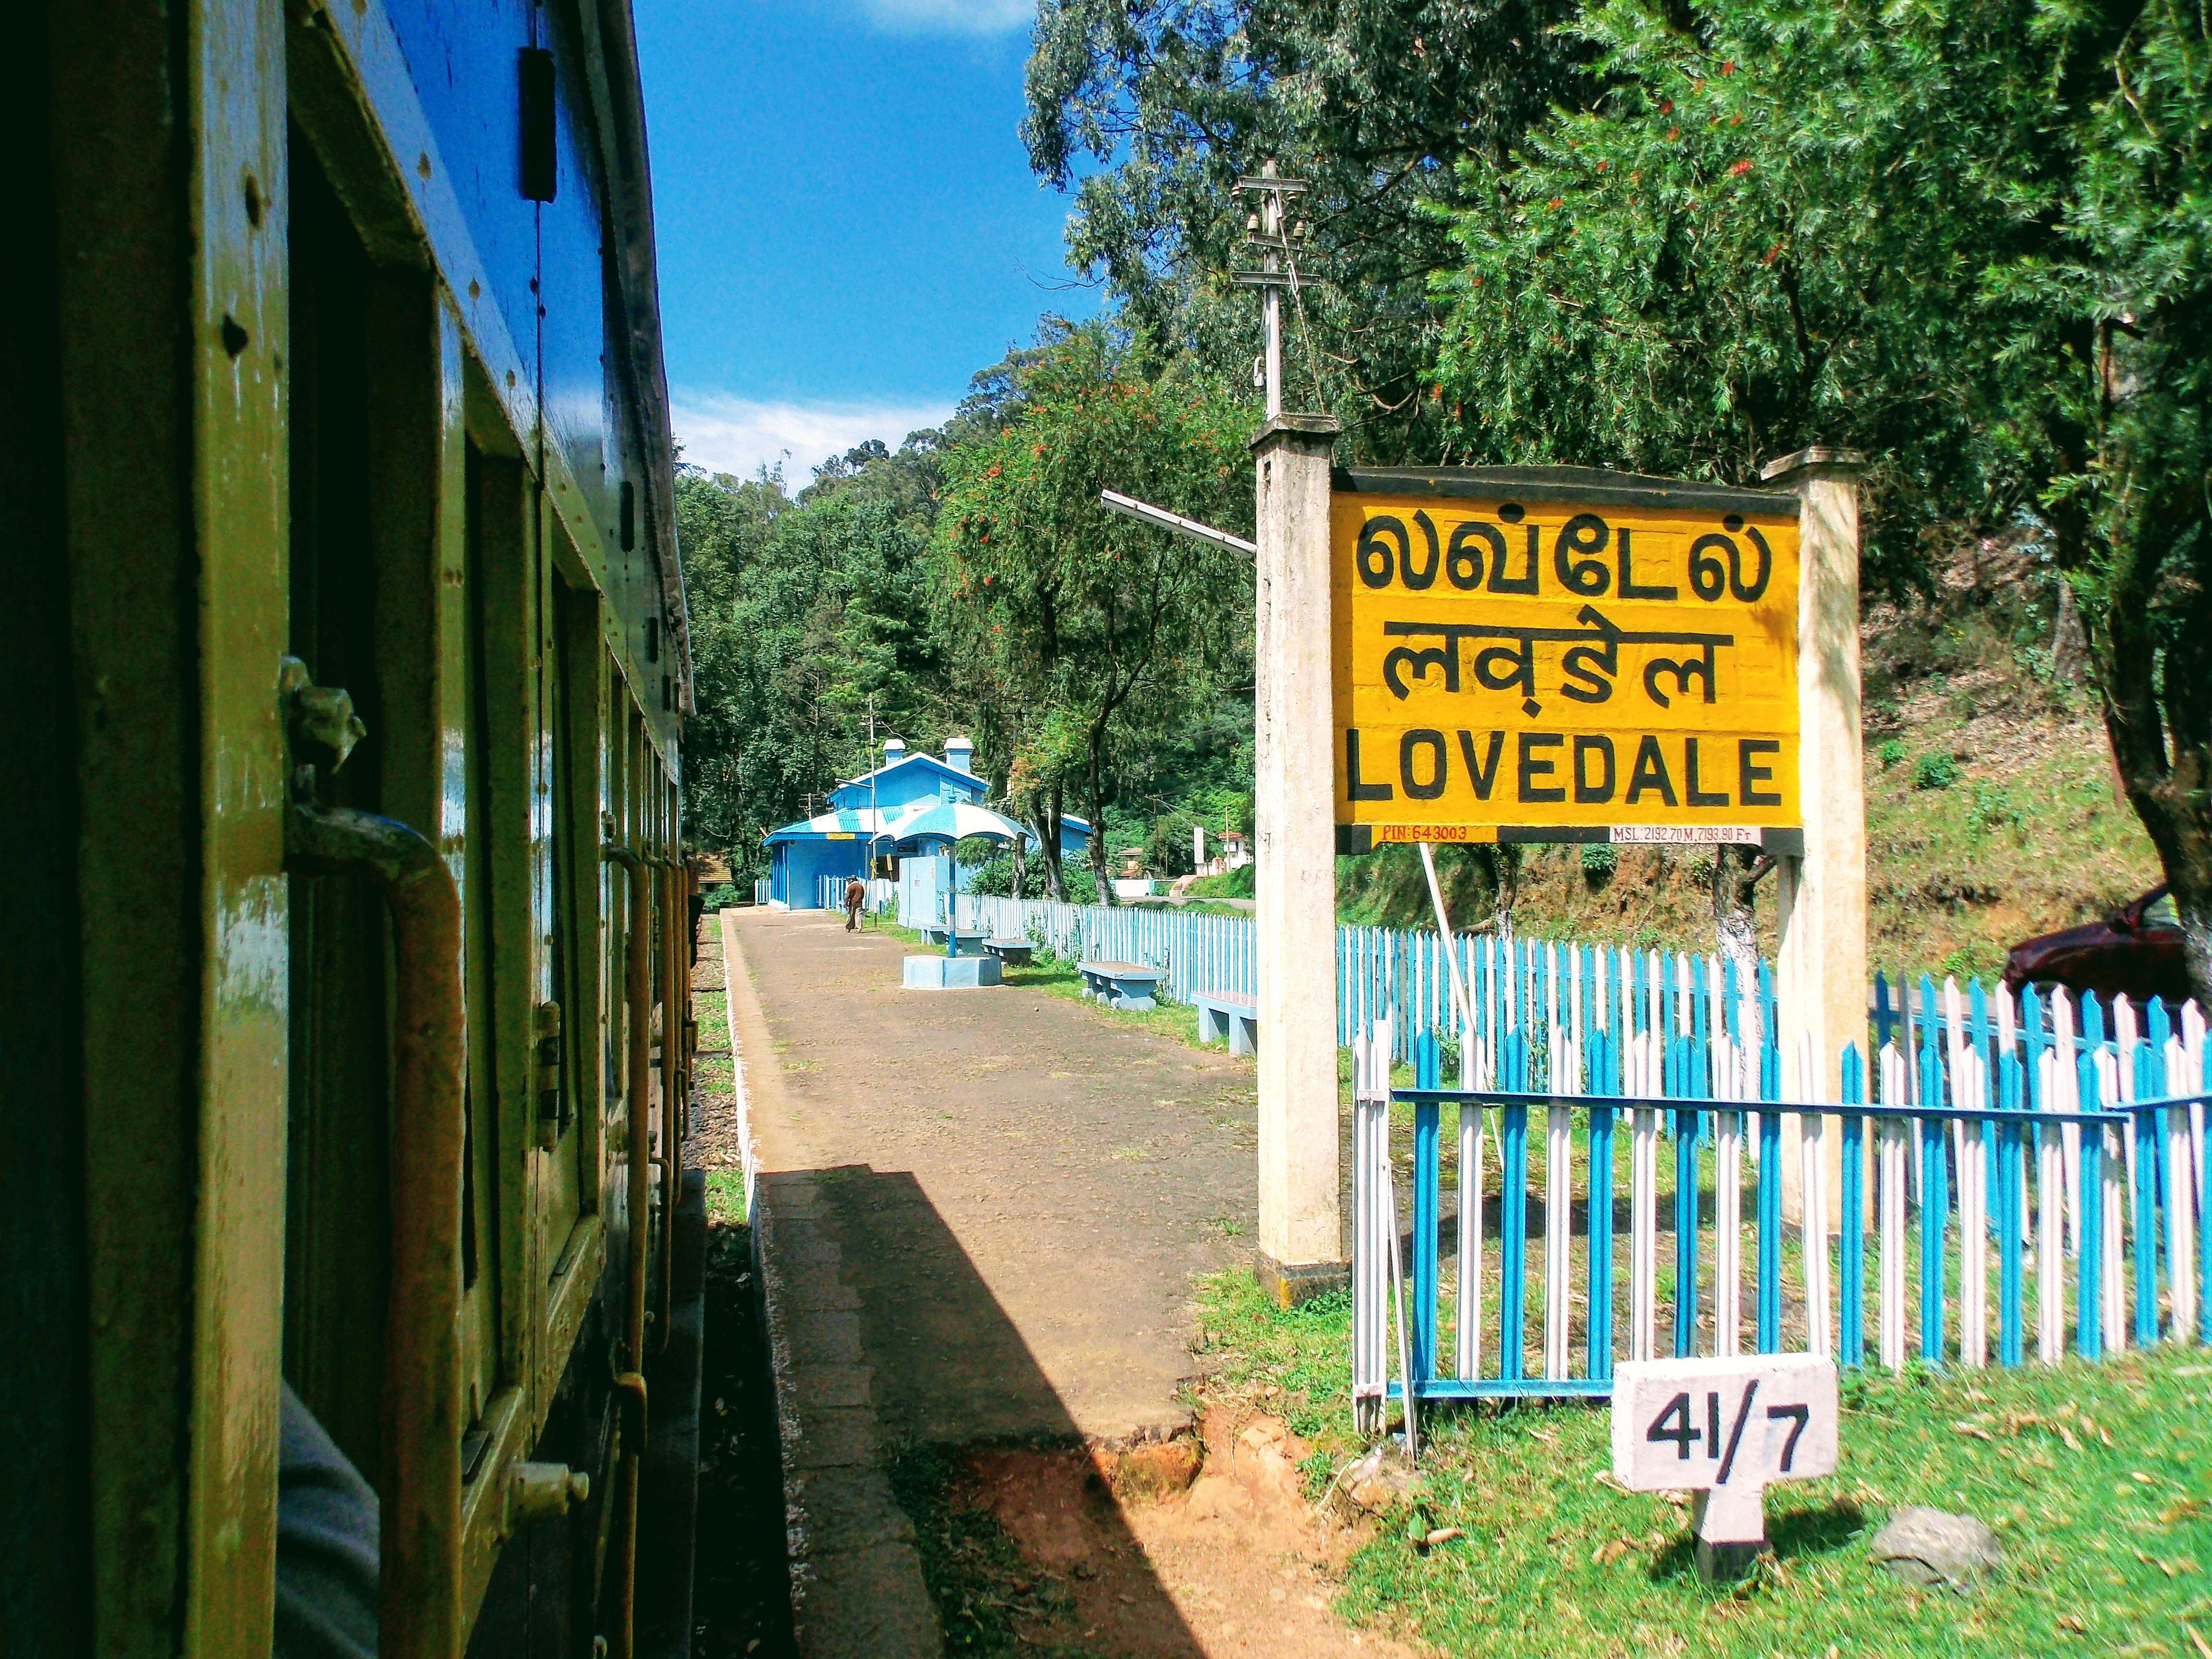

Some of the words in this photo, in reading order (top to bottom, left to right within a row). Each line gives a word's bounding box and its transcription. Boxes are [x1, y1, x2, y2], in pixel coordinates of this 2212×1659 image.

[1355, 500, 1776, 603] லவ்டேல்
[1382, 599, 1740, 722] लव़डेल
[1345, 726, 1784, 807] LOVEDALE
[1377, 822, 1468, 843] PIN:643003
[1609, 821, 1695, 844] MSL:2192.70M
[1694, 824, 1755, 843] 7193.90FT
[1639, 1368, 1822, 1488] 41/7